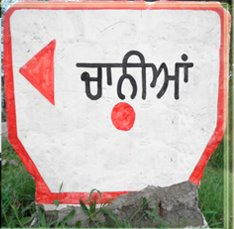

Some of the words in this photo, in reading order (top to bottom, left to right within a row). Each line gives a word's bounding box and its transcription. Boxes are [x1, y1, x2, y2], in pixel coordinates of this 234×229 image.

[70, 46, 201, 105] ਚਾਨੀਆਂ